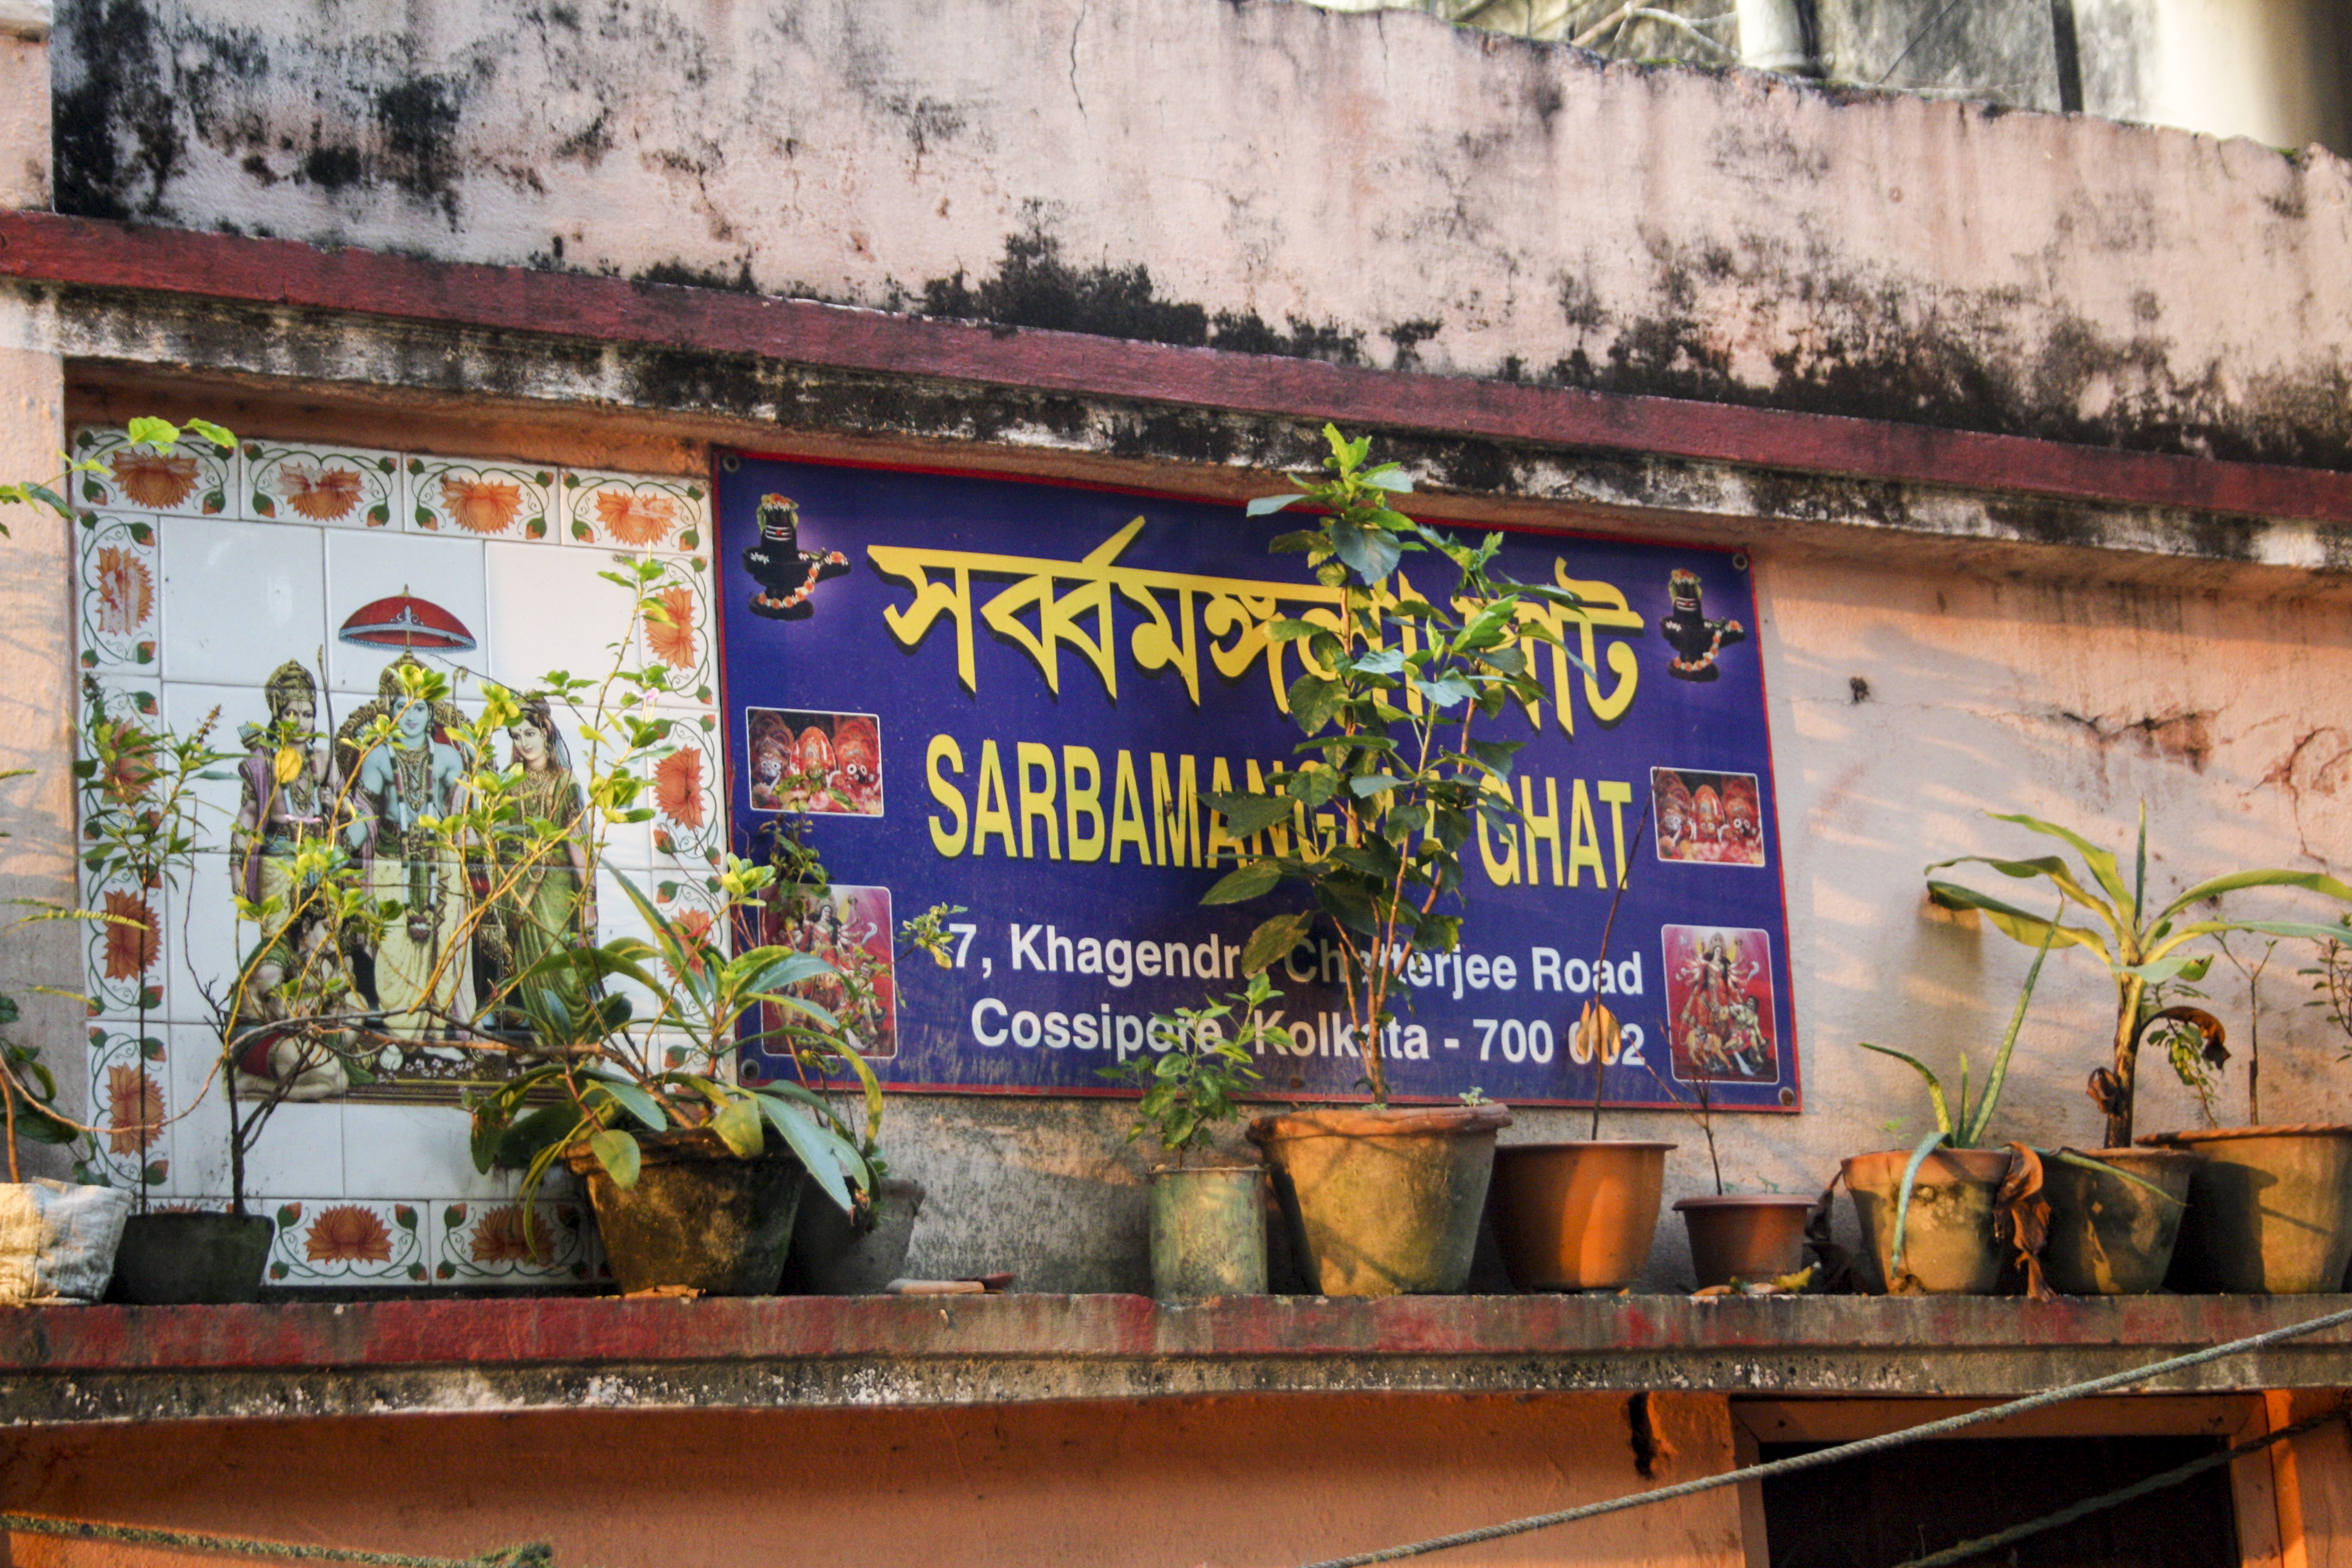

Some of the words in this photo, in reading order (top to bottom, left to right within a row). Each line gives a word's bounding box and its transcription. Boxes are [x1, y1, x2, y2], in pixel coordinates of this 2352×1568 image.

[860, 506, 1652, 745] সর্বমঙ্গলা ঘাট
[921, 730, 1447, 882] SARBAMANG
[1468, 756, 1648, 901] GHAT
[937, 914, 991, 983] 7,
[1005, 919, 1278, 991] Khagendr
[1274, 927, 1525, 1005] Chatterjee
[1526, 942, 1647, 998] Road
[964, 987, 1229, 1068] Cossipore
[1251, 998, 1434, 1068] Kolkata